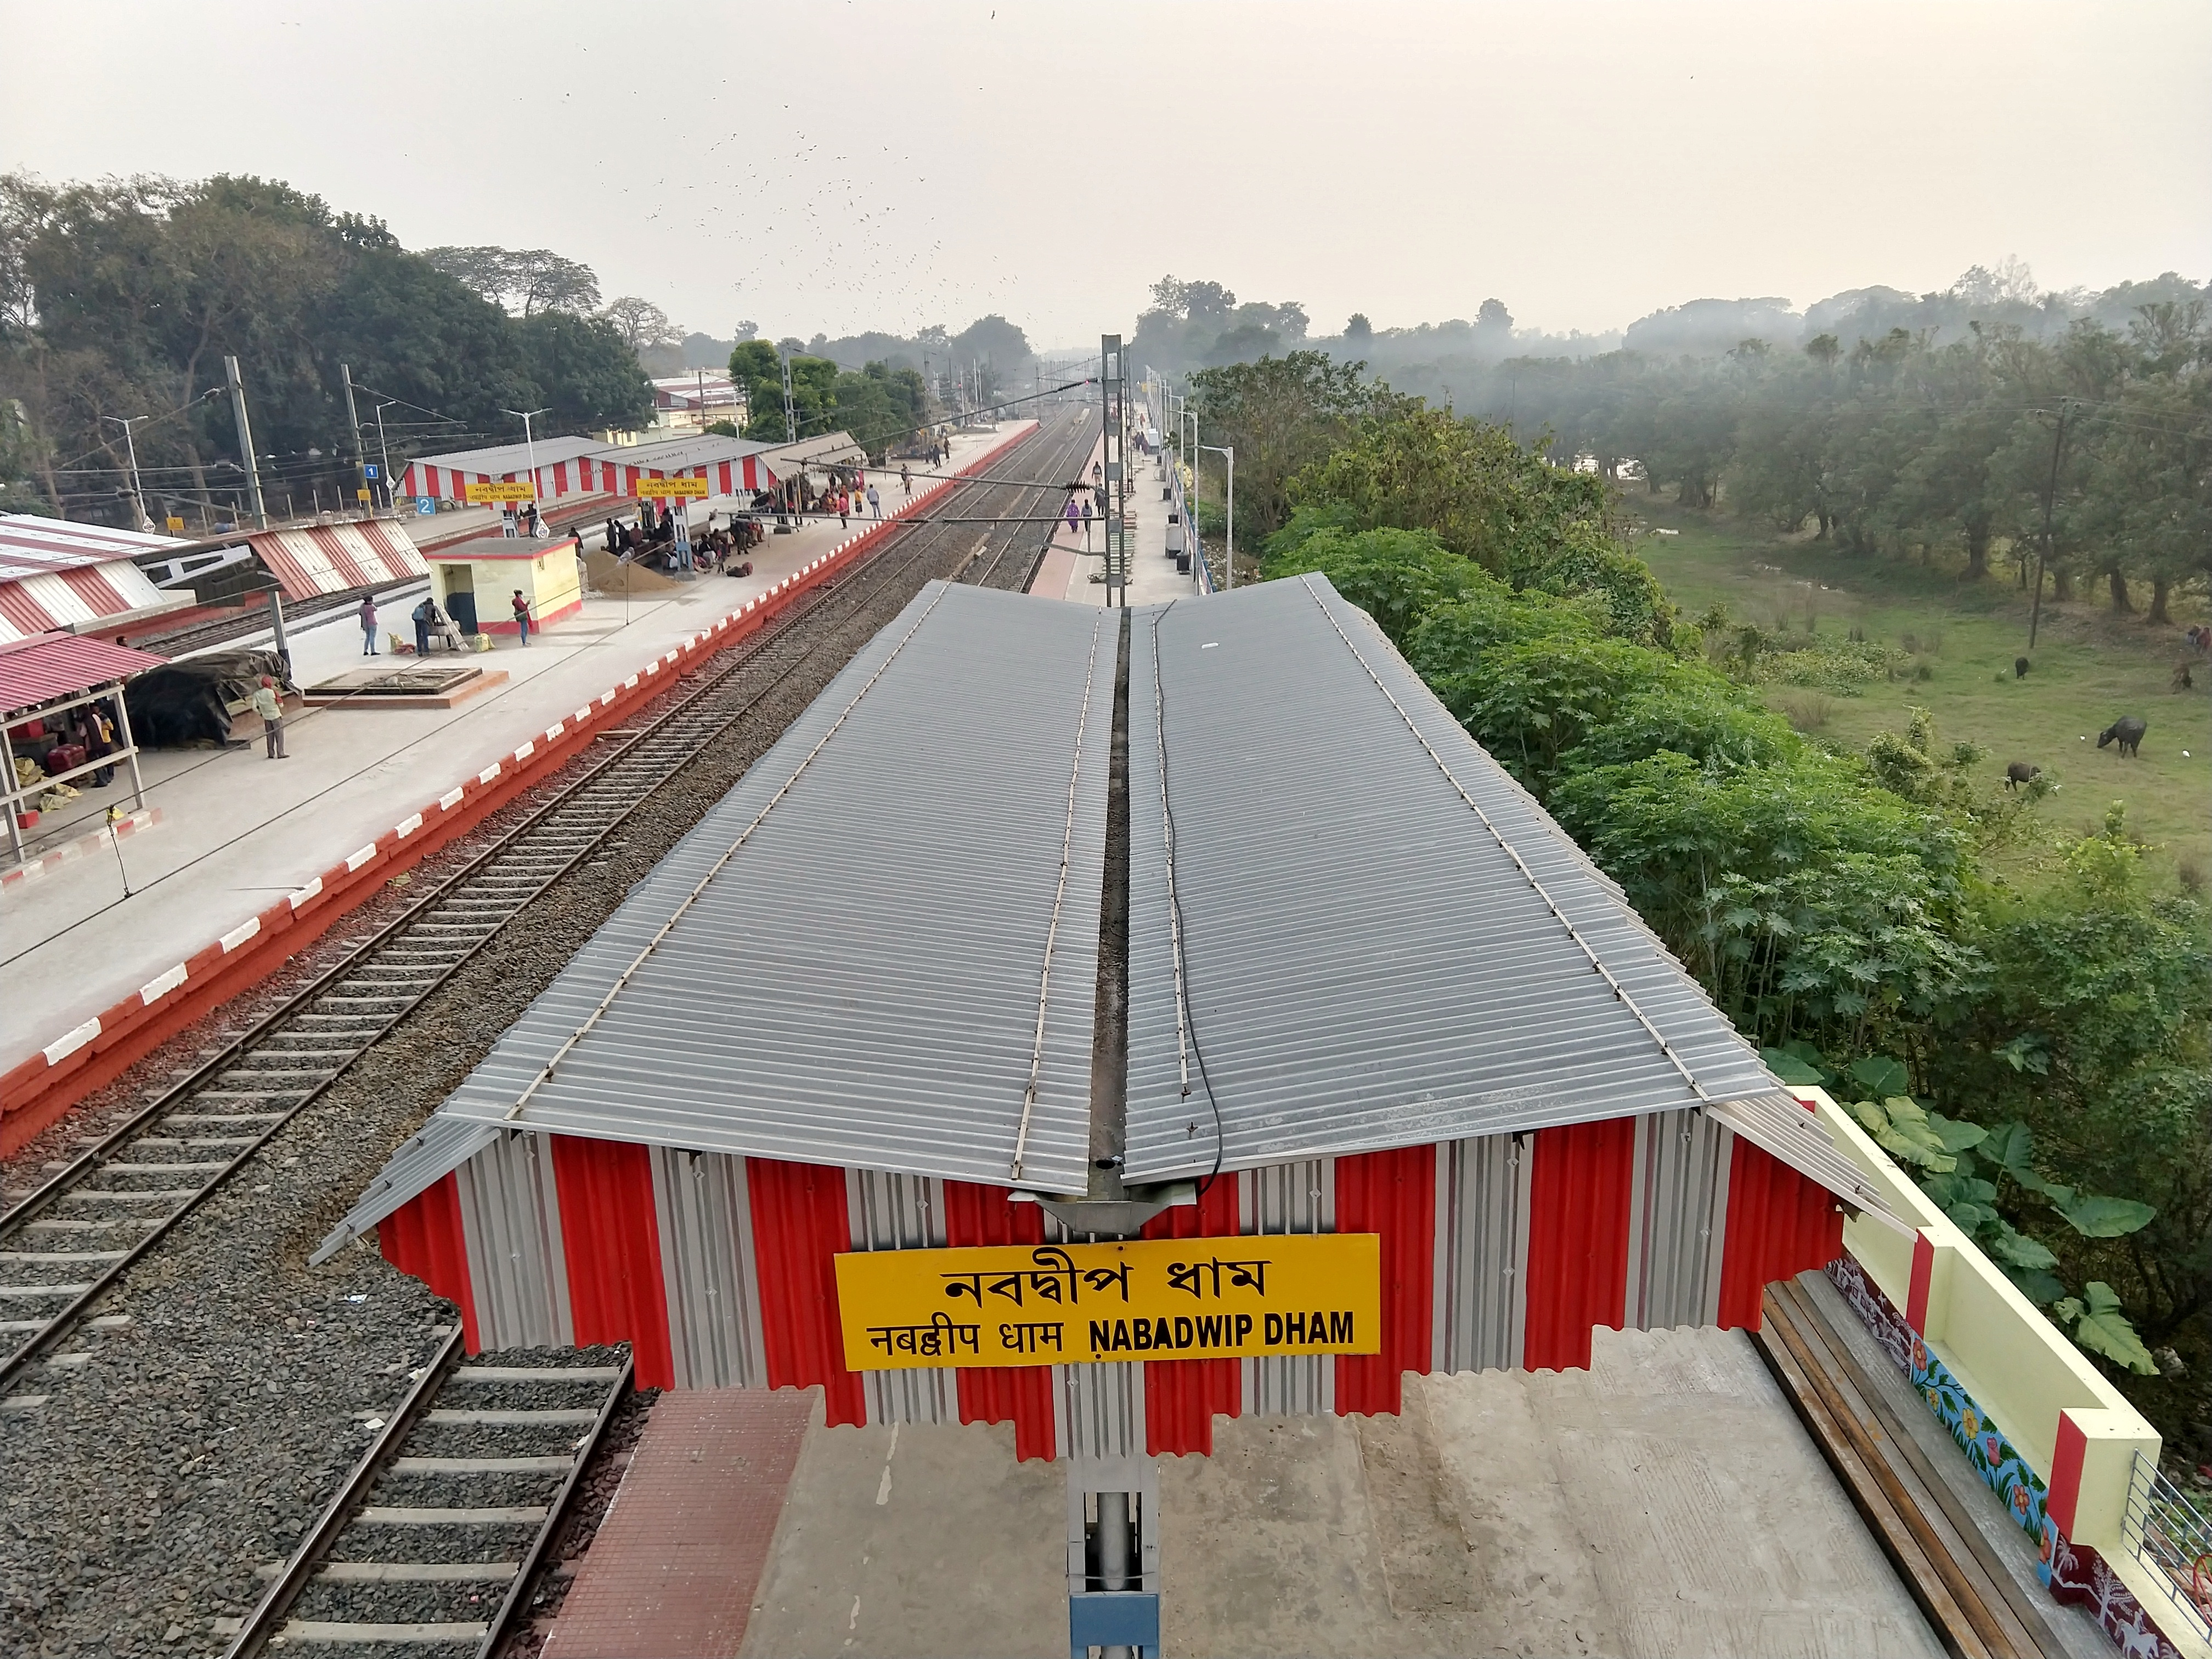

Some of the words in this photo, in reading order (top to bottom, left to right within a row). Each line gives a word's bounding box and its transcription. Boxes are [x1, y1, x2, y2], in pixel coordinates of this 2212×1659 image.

[466, 490, 492, 503] नबद्वीप
[472, 481, 507, 494] নবদ্বীপ
[488, 490, 503, 502] धाम
[503, 482, 527, 494] ধাম
[636, 484, 661, 499] नबद्वीप
[643, 476, 680, 489] নবদ্বীপ
[656, 487, 673, 496] धाम
[675, 475, 701, 490] ধাম
[939, 1238, 1136, 1310] নবদ্বীপ
[1163, 1251, 1275, 1303] ধাম
[863, 1310, 983, 1357] नबद्वीप
[990, 1314, 1068, 1359] धाम
[1084, 1308, 1256, 1358] NABADWIP
[1260, 1303, 1358, 1352] DHAM